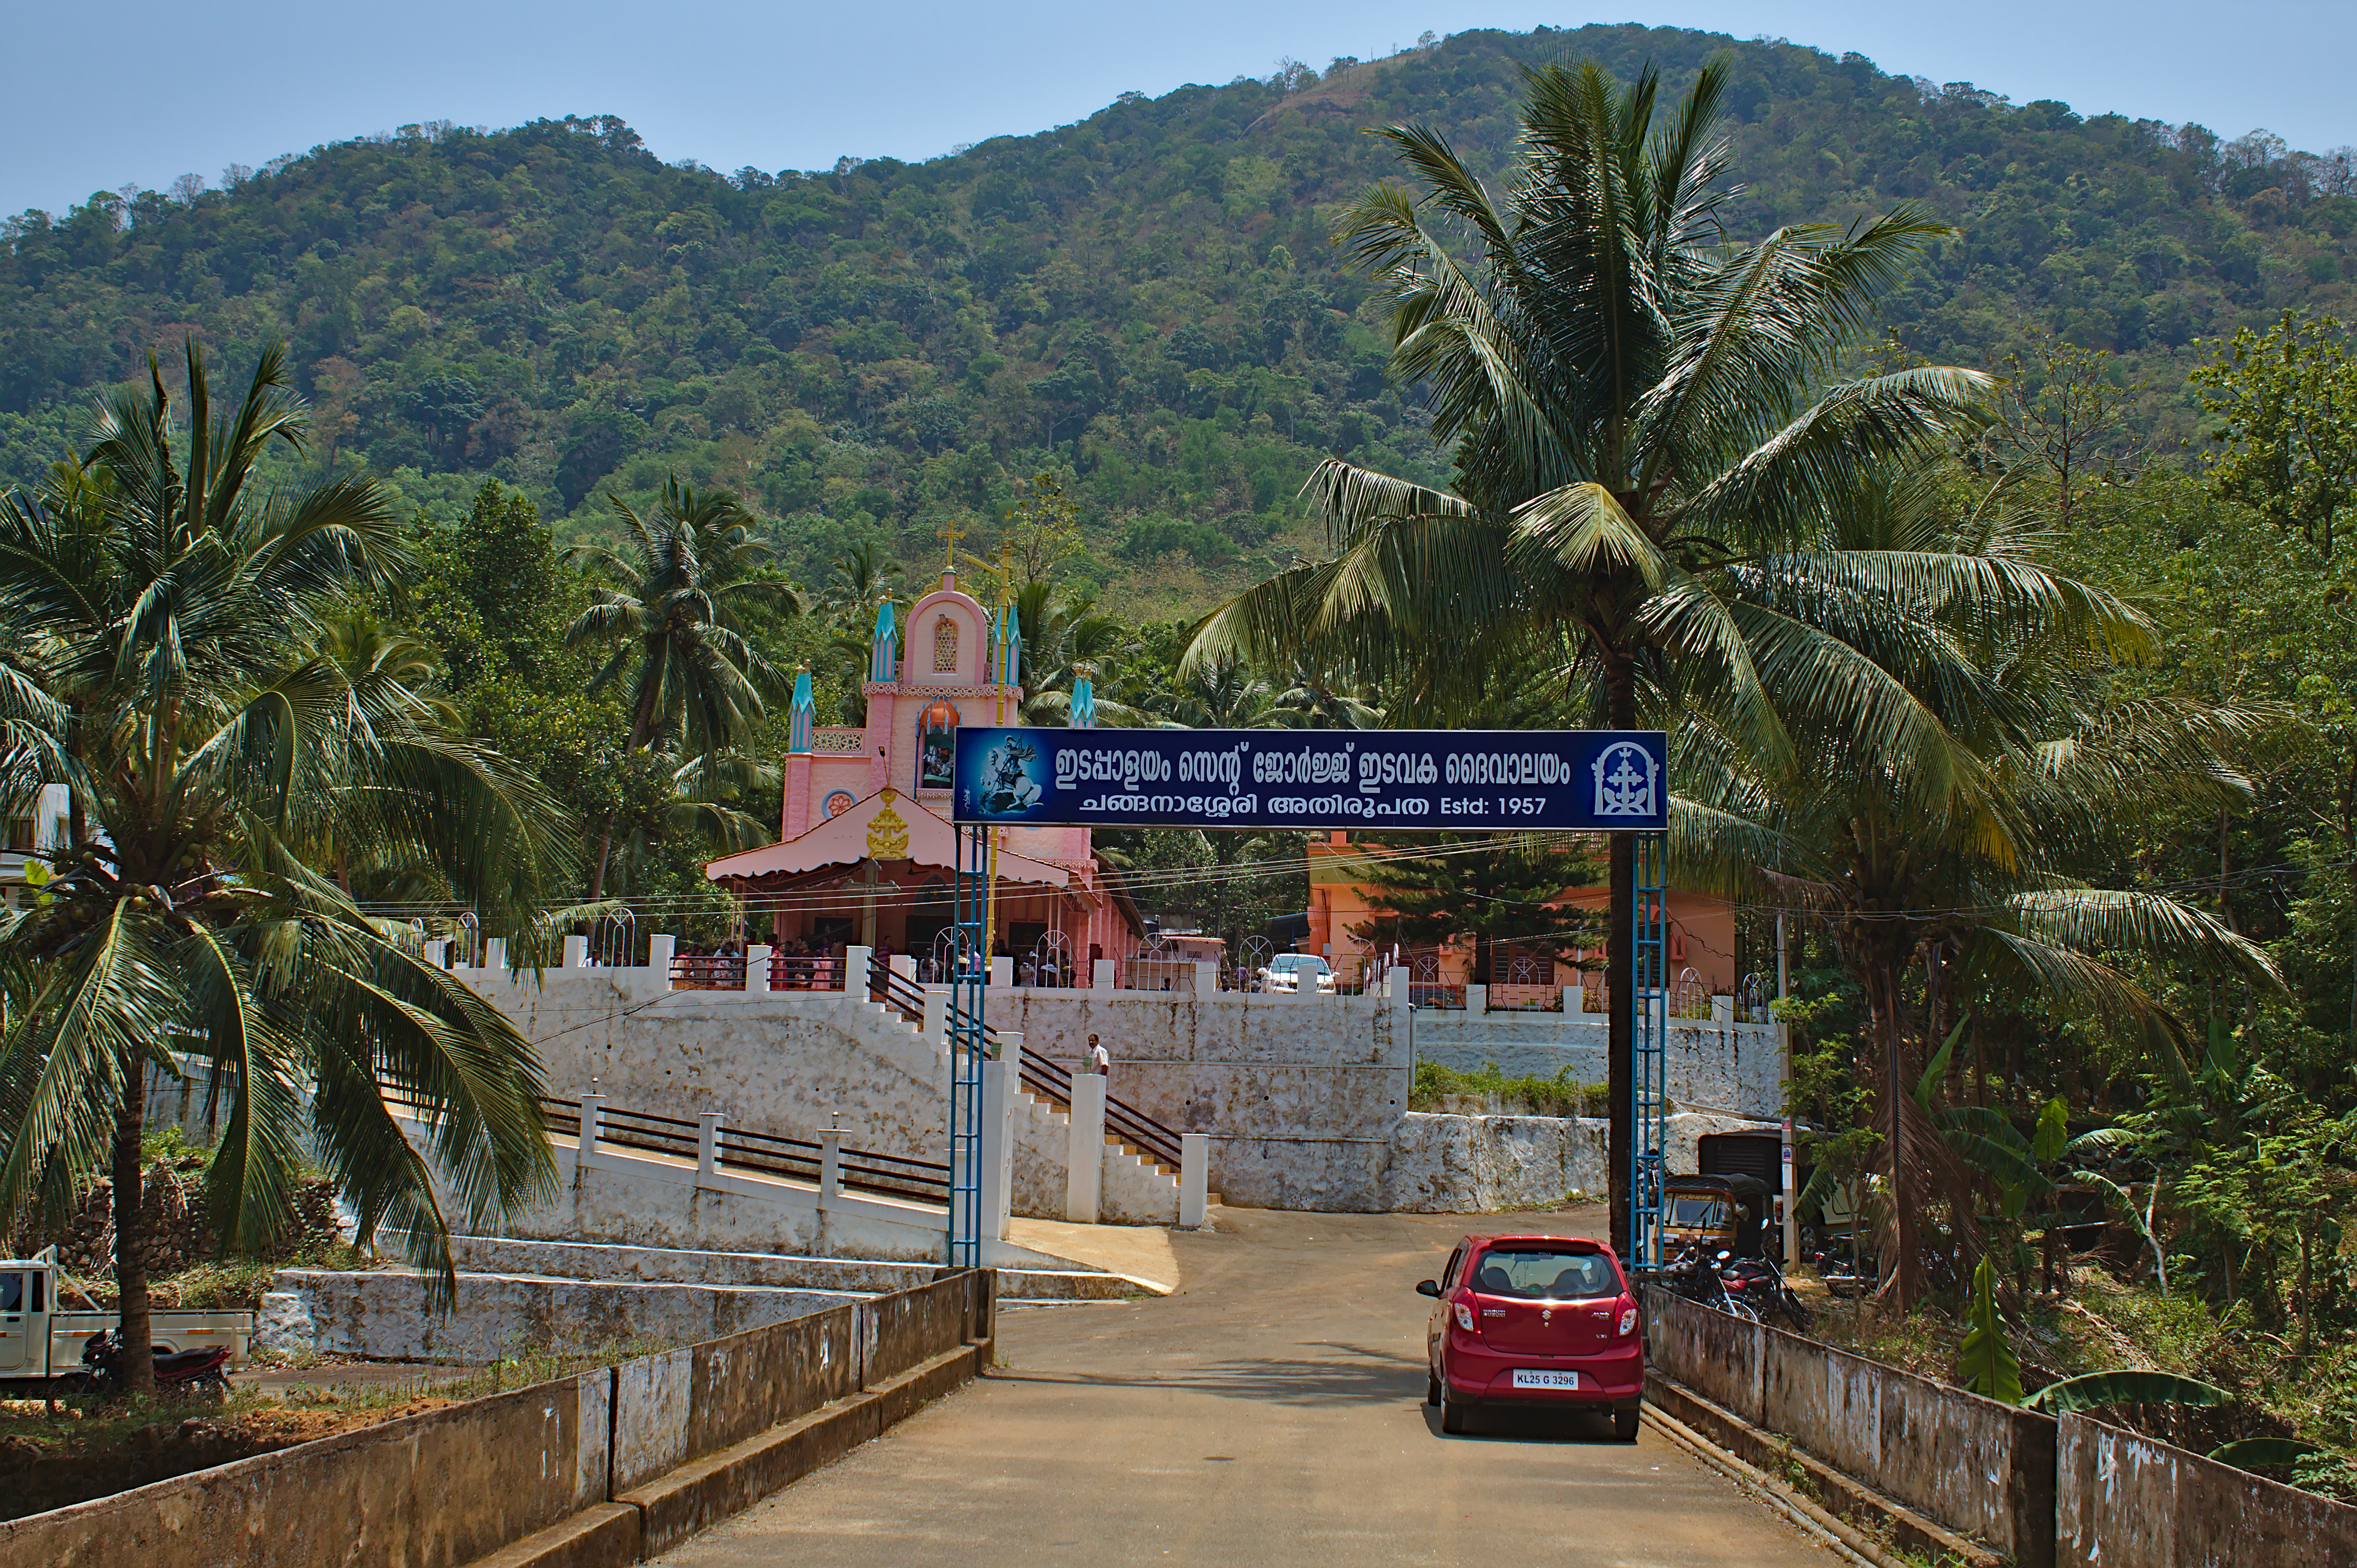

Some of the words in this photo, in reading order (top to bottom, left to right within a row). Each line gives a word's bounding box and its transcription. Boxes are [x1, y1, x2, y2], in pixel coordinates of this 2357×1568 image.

[1049, 742, 1176, 794] ഇടപ്പാളയം
[1172, 734, 1251, 798] സെൻ്റ്
[1251, 740, 1356, 788] ജോർജ്ജ്
[1353, 748, 1442, 798] ഇടവക
[1442, 747, 1574, 789] ദൈവാലയം
[1078, 790, 1262, 822] ചങ്ങനാശ്ശേരി
[1265, 791, 1432, 823] അതിരൂപത
[1438, 795, 1550, 819] Estd:1957